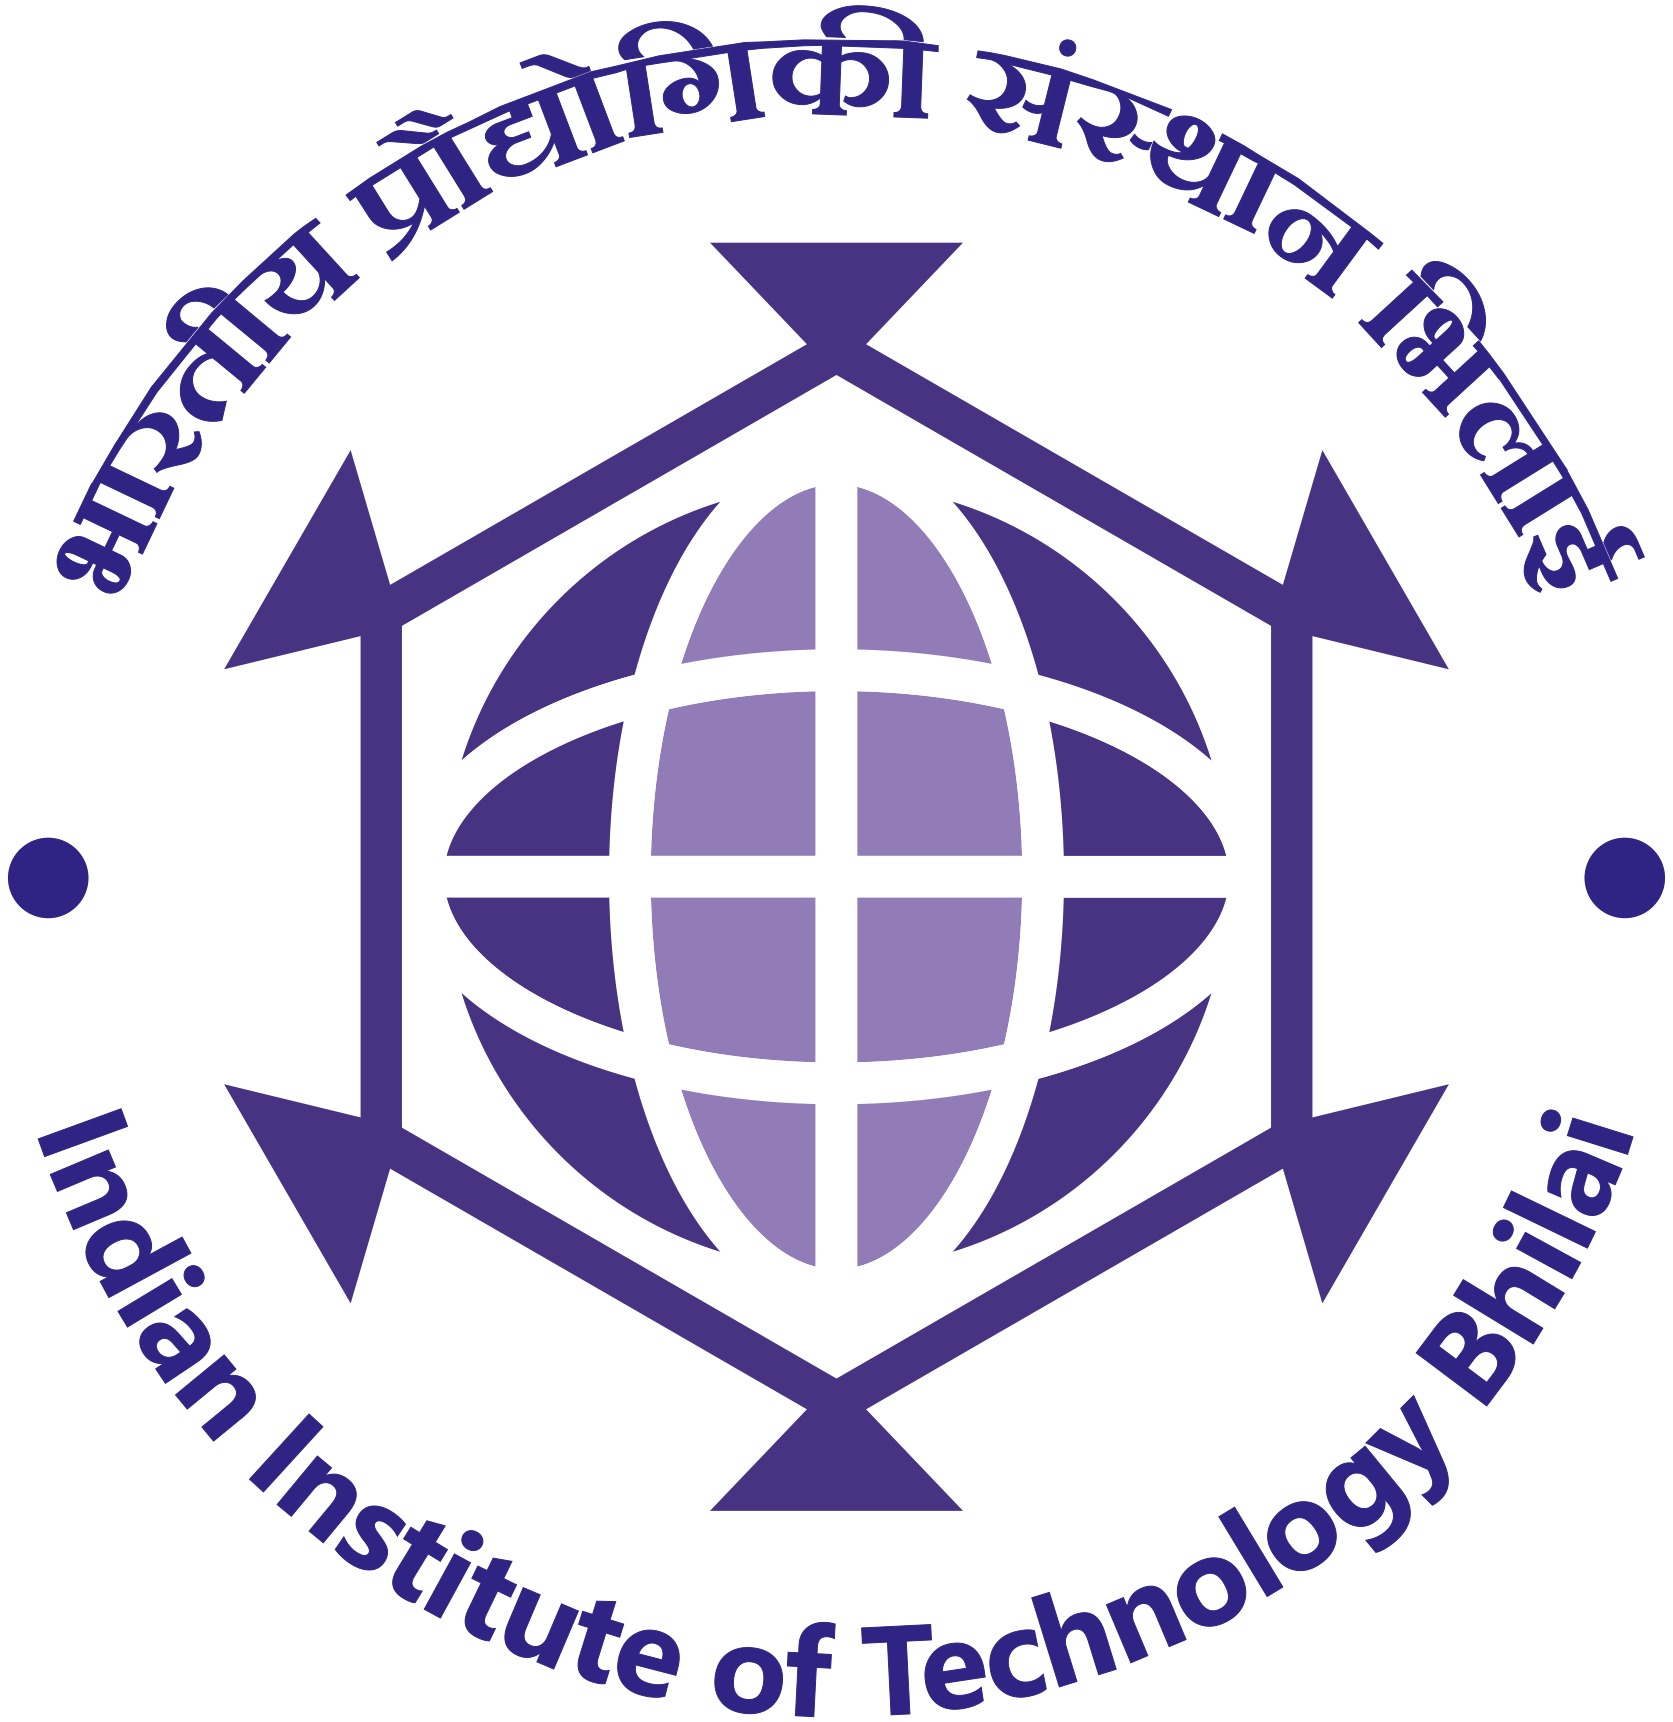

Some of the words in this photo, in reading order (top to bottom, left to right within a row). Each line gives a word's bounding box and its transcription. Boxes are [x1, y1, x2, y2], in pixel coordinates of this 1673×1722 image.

[345, 3, 944, 264] प्रौद्योगिकी
[965, 31, 1388, 306] संस्थान
[29, 205, 369, 612] भारतीय
[1353, 247, 1649, 604] भिलाई
[37, 1099, 267, 1450] Indian
[1405, 1099, 1642, 1418] Bhilai
[239, 1403, 688, 1707] Institute
[702, 1610, 848, 1722] of
[856, 1388, 1463, 1720] Technology